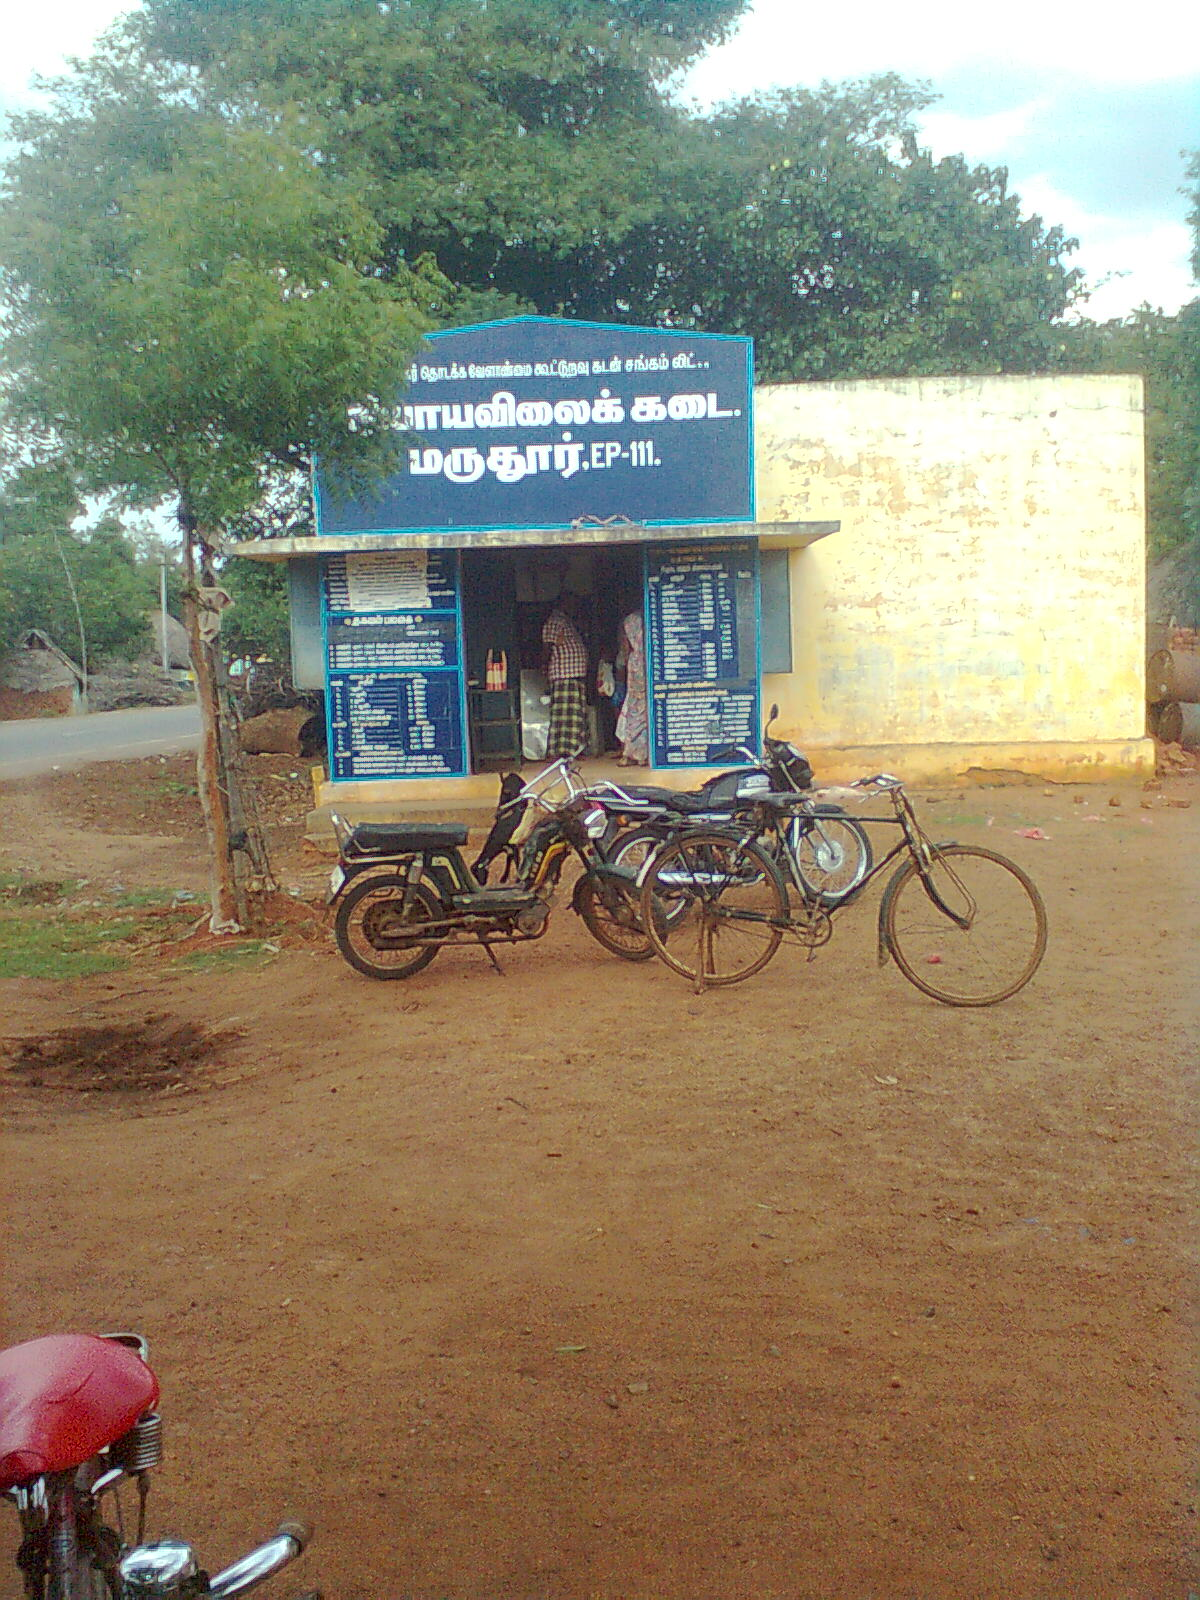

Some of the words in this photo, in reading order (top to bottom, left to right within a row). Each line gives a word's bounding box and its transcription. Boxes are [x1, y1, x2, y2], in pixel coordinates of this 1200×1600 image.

[413, 356, 475, 387] தொடக்க
[463, 354, 538, 383] வேளான்மை
[529, 353, 593, 382] கூட்டுறவு
[585, 350, 675, 378] கடன் சங்கம்
[667, 346, 713, 374] விட்..
[384, 379, 632, 435] பாயவிலைக்
[626, 388, 747, 427] கடை.
[399, 427, 666, 486] மருதூர்,EP-111.